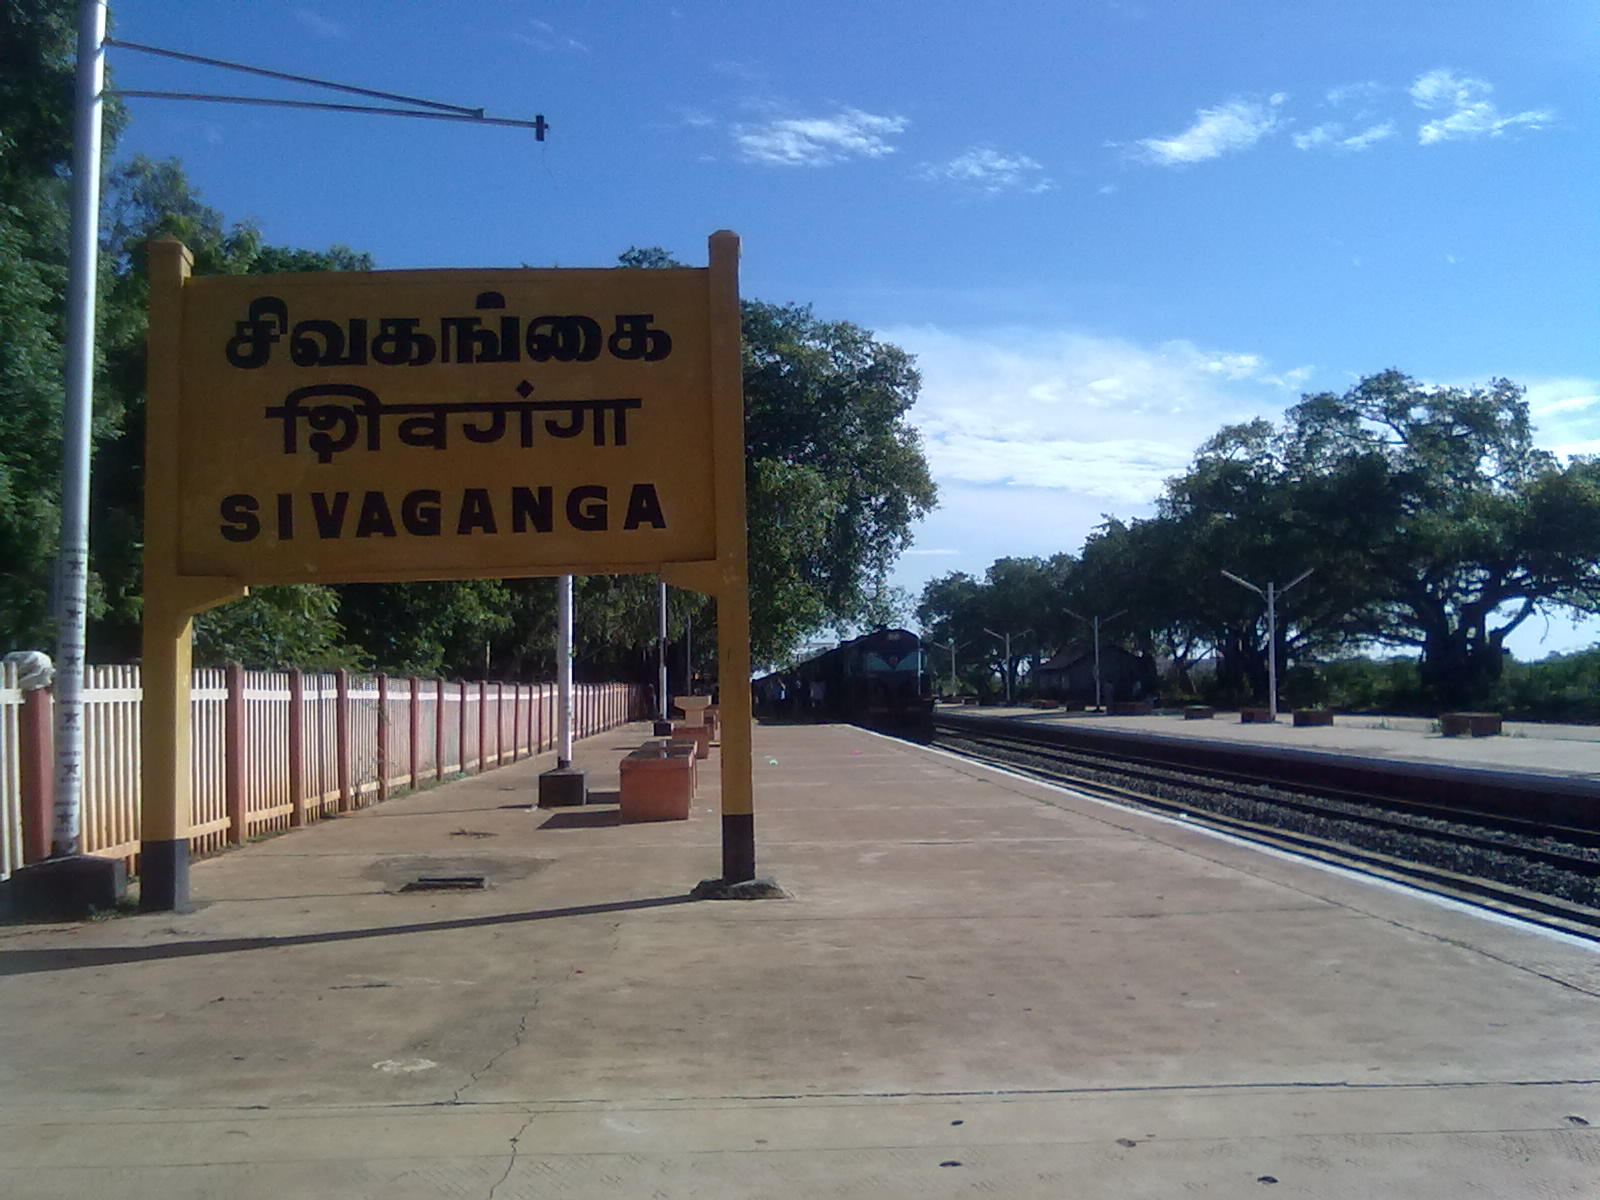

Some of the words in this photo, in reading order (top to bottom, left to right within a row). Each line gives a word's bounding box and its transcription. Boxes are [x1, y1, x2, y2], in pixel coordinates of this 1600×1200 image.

[221, 273, 683, 374] சிவகங்கை
[253, 374, 646, 468] शिवगंगा
[215, 474, 675, 547] SIVAGANGA